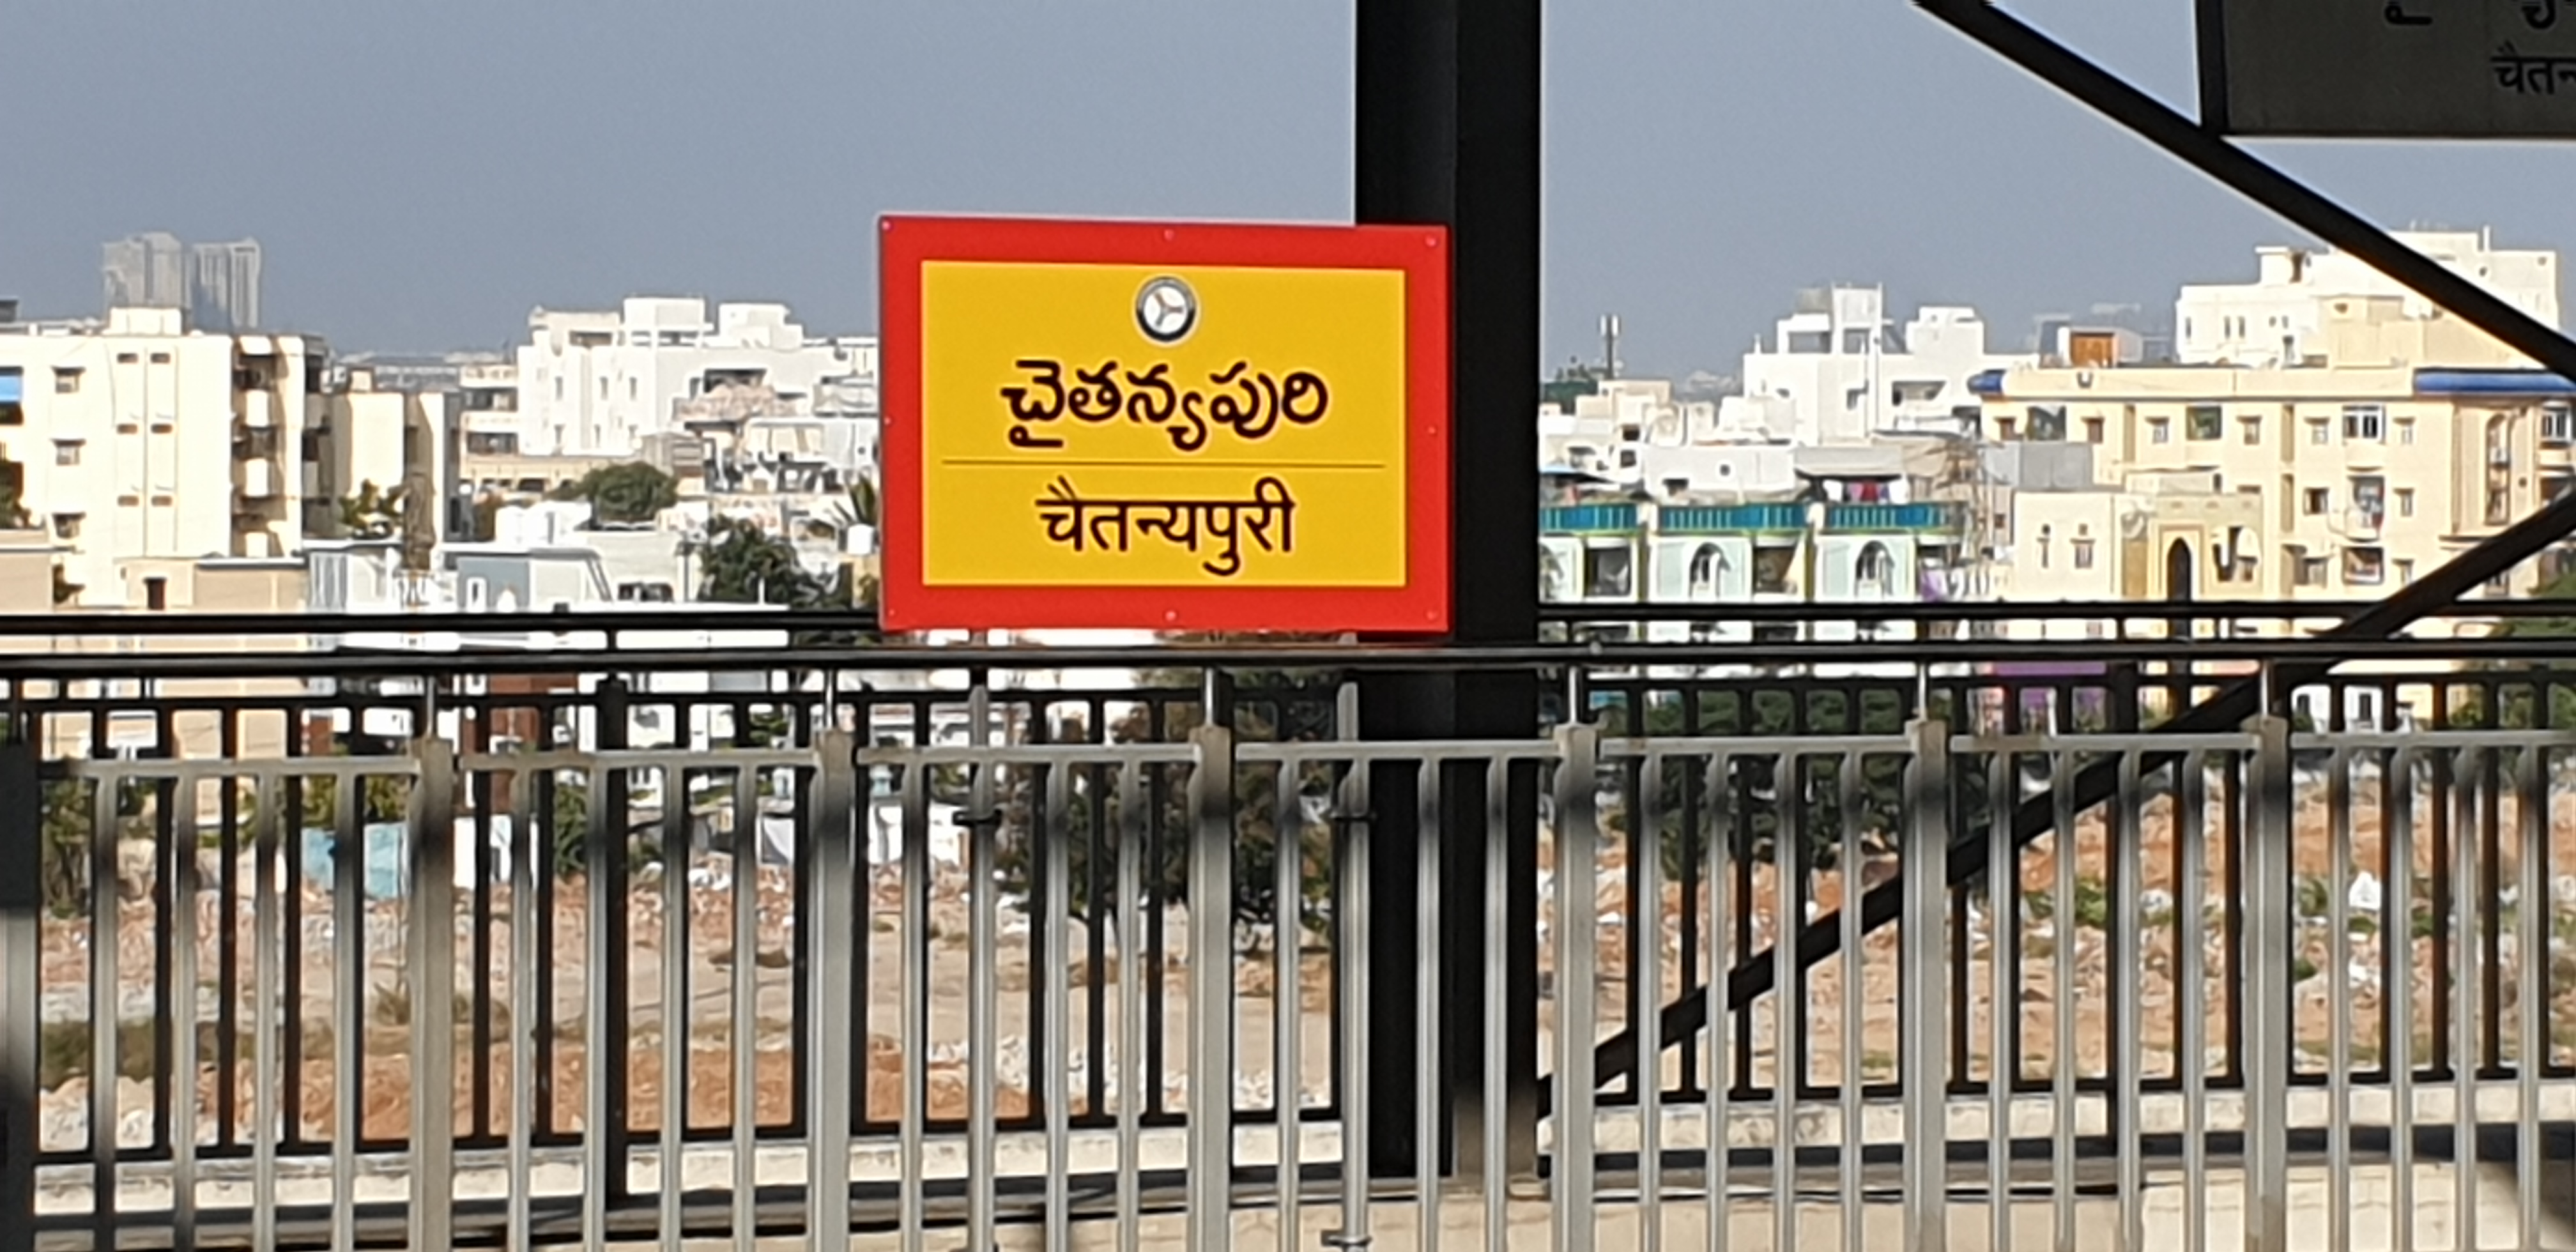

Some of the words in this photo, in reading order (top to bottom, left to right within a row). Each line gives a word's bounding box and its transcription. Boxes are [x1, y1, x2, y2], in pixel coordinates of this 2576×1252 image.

[993, 347, 1337, 464] చైతన్యపురి
[1030, 461, 1306, 584] चैतन्यपुरी